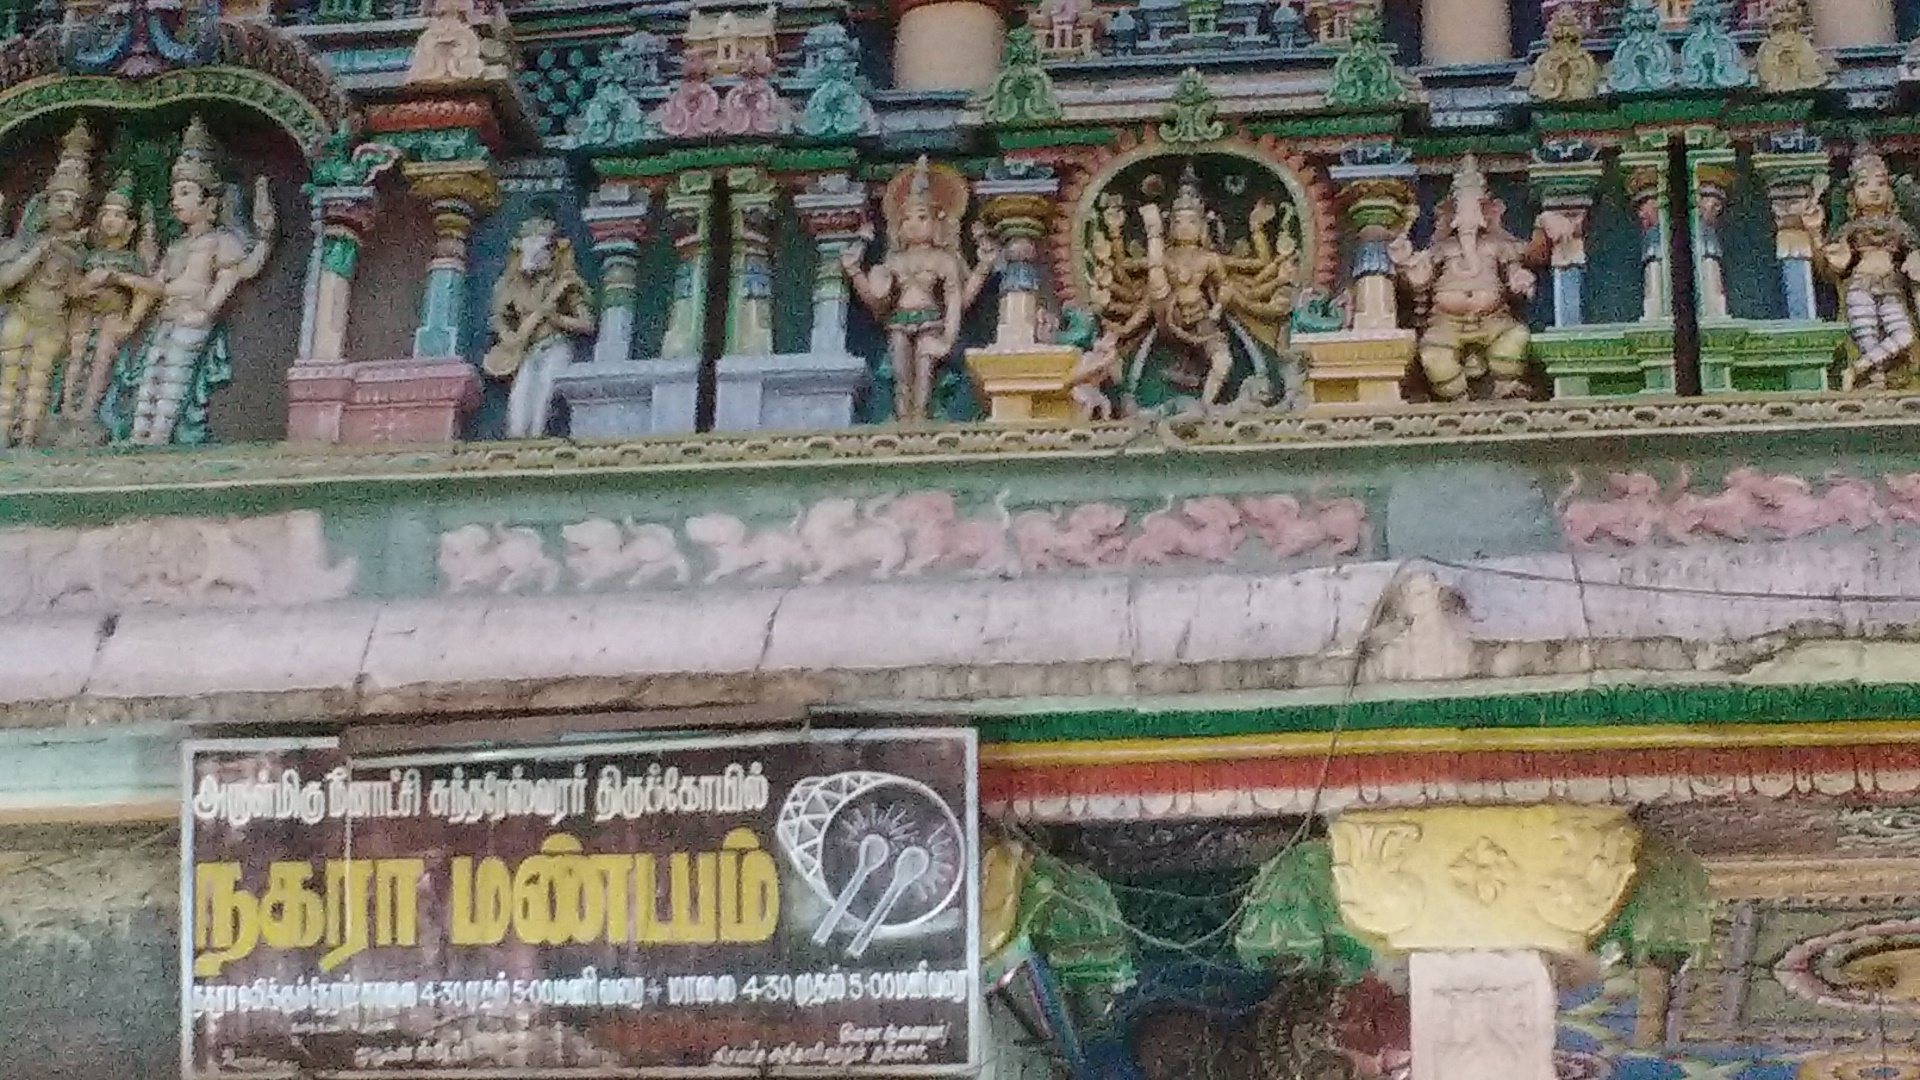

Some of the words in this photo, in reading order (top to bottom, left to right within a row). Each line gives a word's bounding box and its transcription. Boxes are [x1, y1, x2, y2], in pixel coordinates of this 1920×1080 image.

[191, 762, 330, 834] அருள்மிகு
[320, 756, 425, 821] மீனாட்சி
[424, 758, 592, 825] சுந்தரேஸ்வரா்
[589, 751, 773, 826] திருக்கோயில்
[449, 820, 784, 946] மண்டபம்
[192, 855, 427, 982] நகரா
[411, 959, 646, 1013] 4-30 முதல் 5.00மணிவரை
[660, 971, 741, 1009] மாலை
[737, 969, 797, 1007] 430
[845, 954, 969, 1005] 5.00மணிவரை